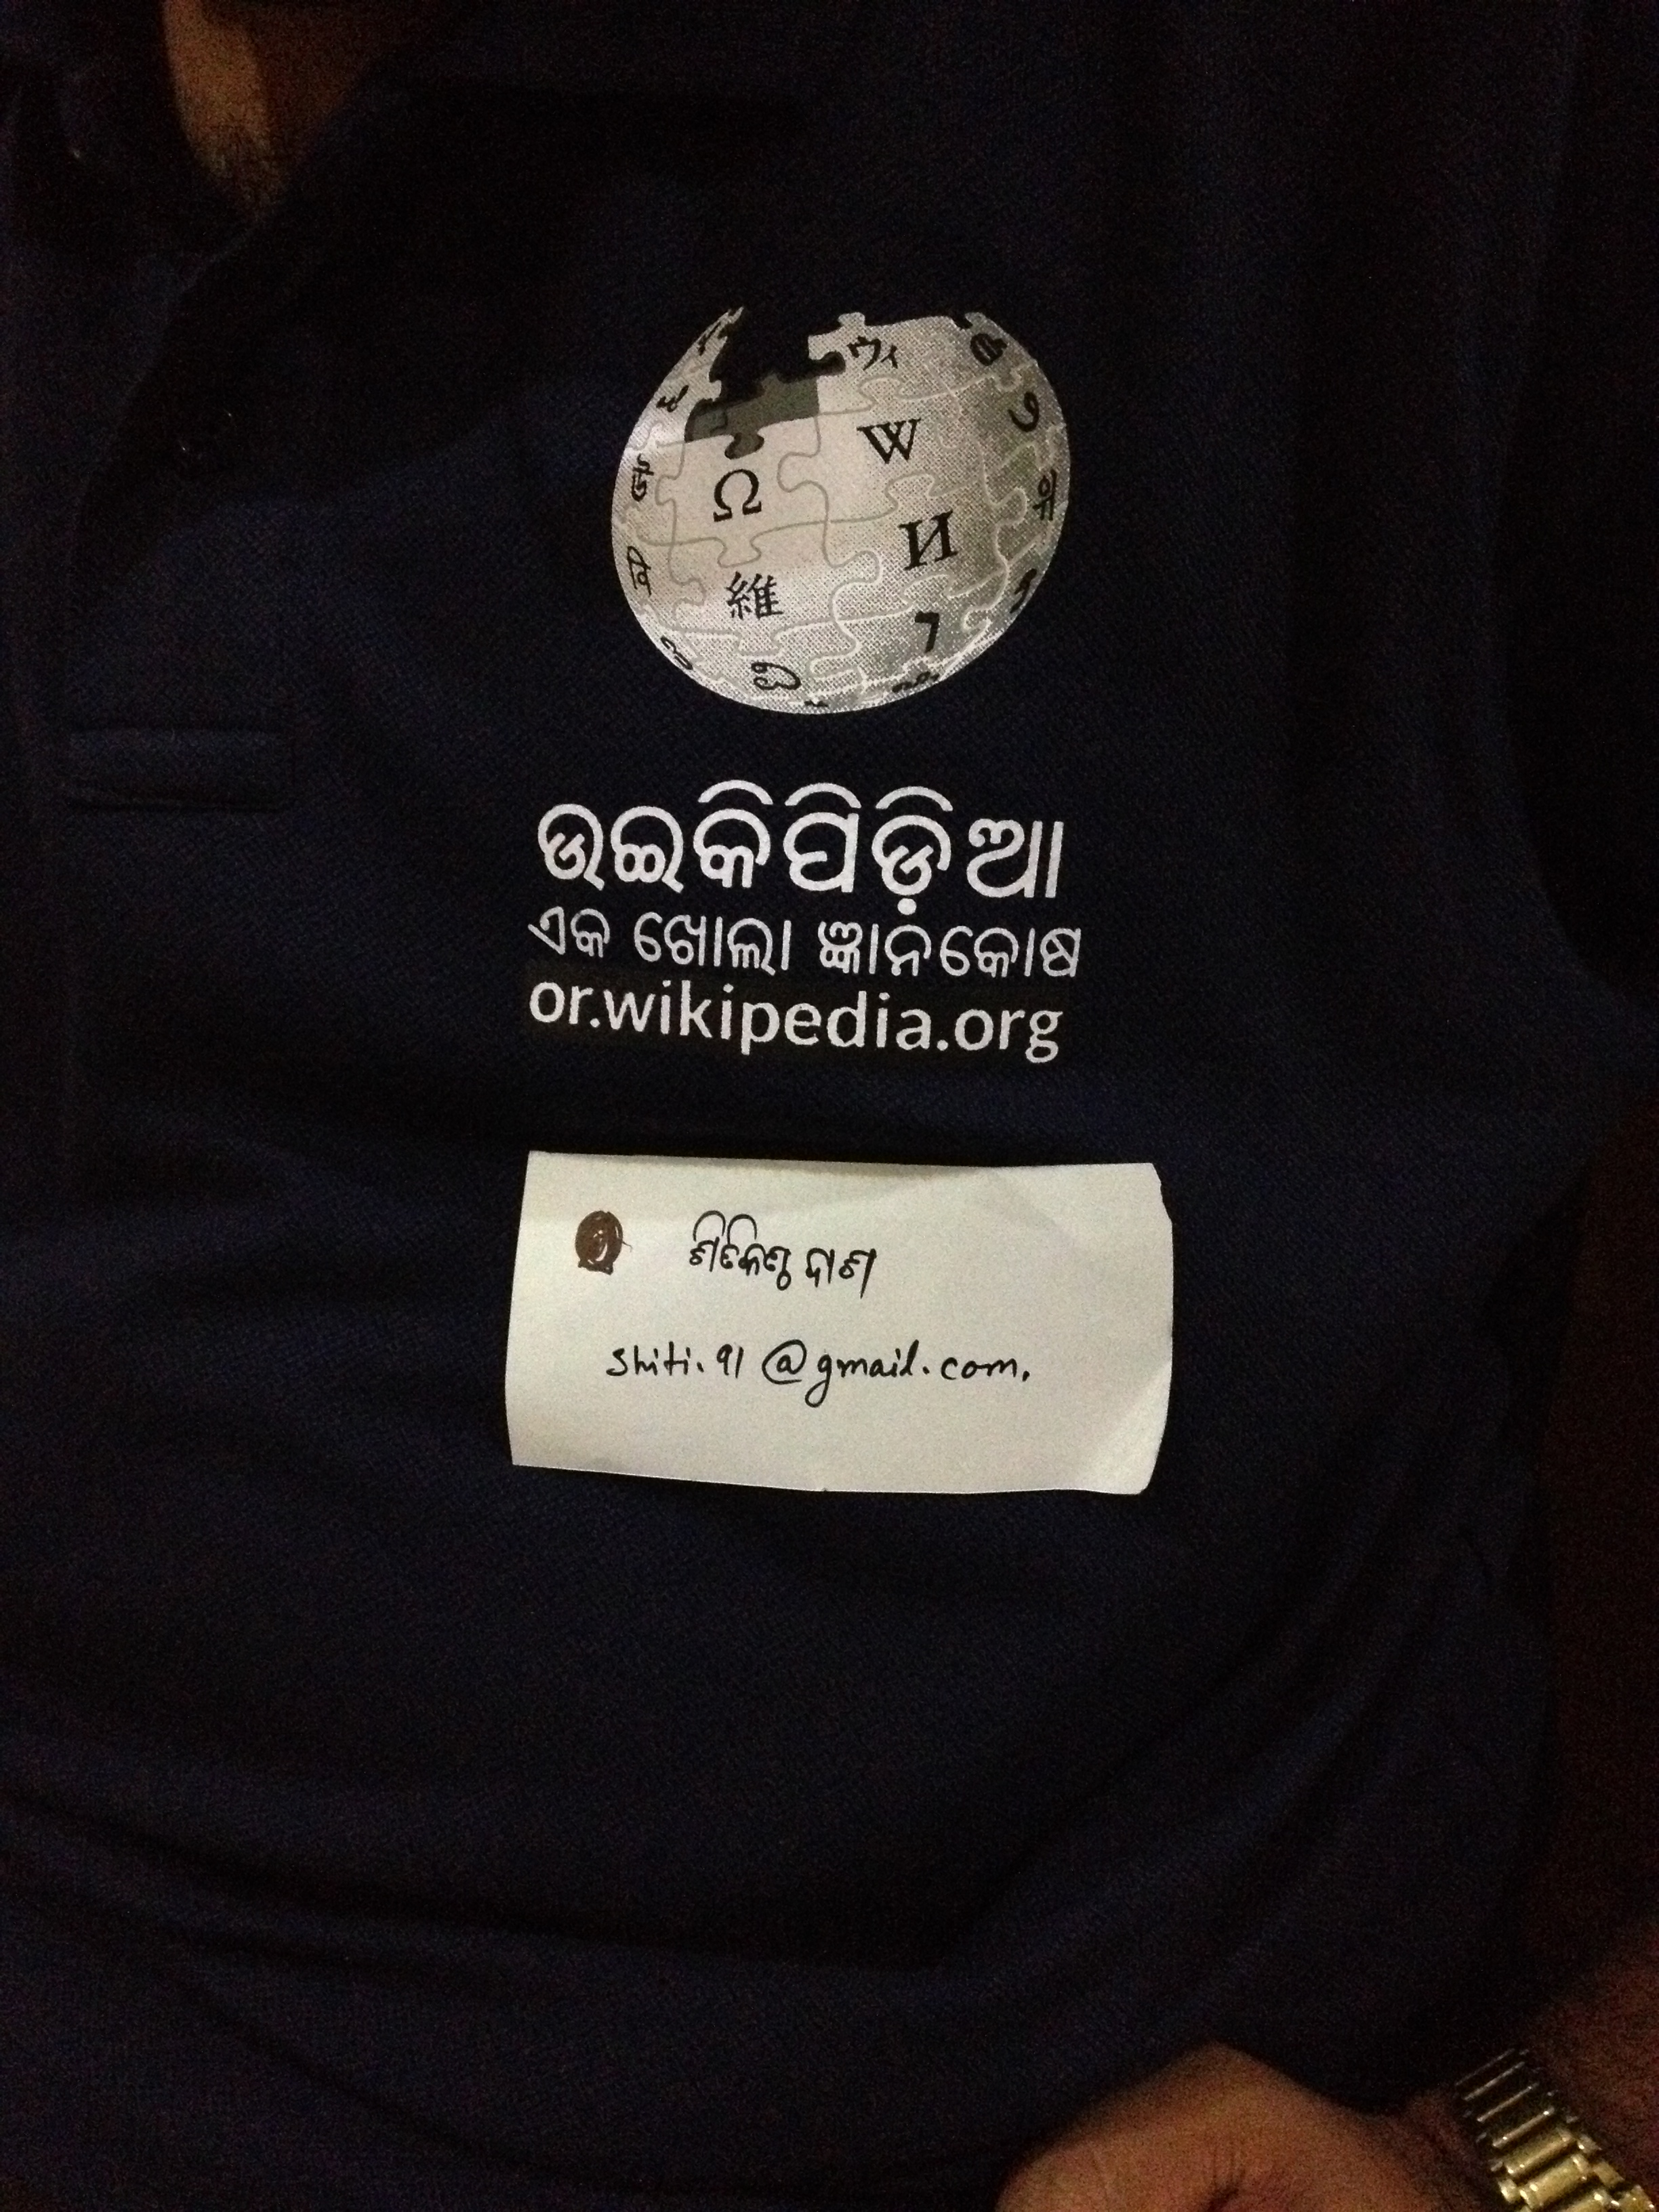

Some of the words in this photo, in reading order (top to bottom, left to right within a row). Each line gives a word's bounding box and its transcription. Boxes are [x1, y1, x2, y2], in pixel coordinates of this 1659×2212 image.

[529, 772, 1077, 919] ଉଇକିପିଡ଼ିଆ
[519, 896, 620, 972] ଏକ
[621, 899, 799, 985] ଖୋଲା
[809, 912, 1090, 989] ଜ୍ଞାନକୋଷ
[523, 963, 1075, 1073] or.wikipedia.org
[598, 1336, 745, 1380] Shiti-91
[755, 1319, 1035, 1420] @gmail.com,